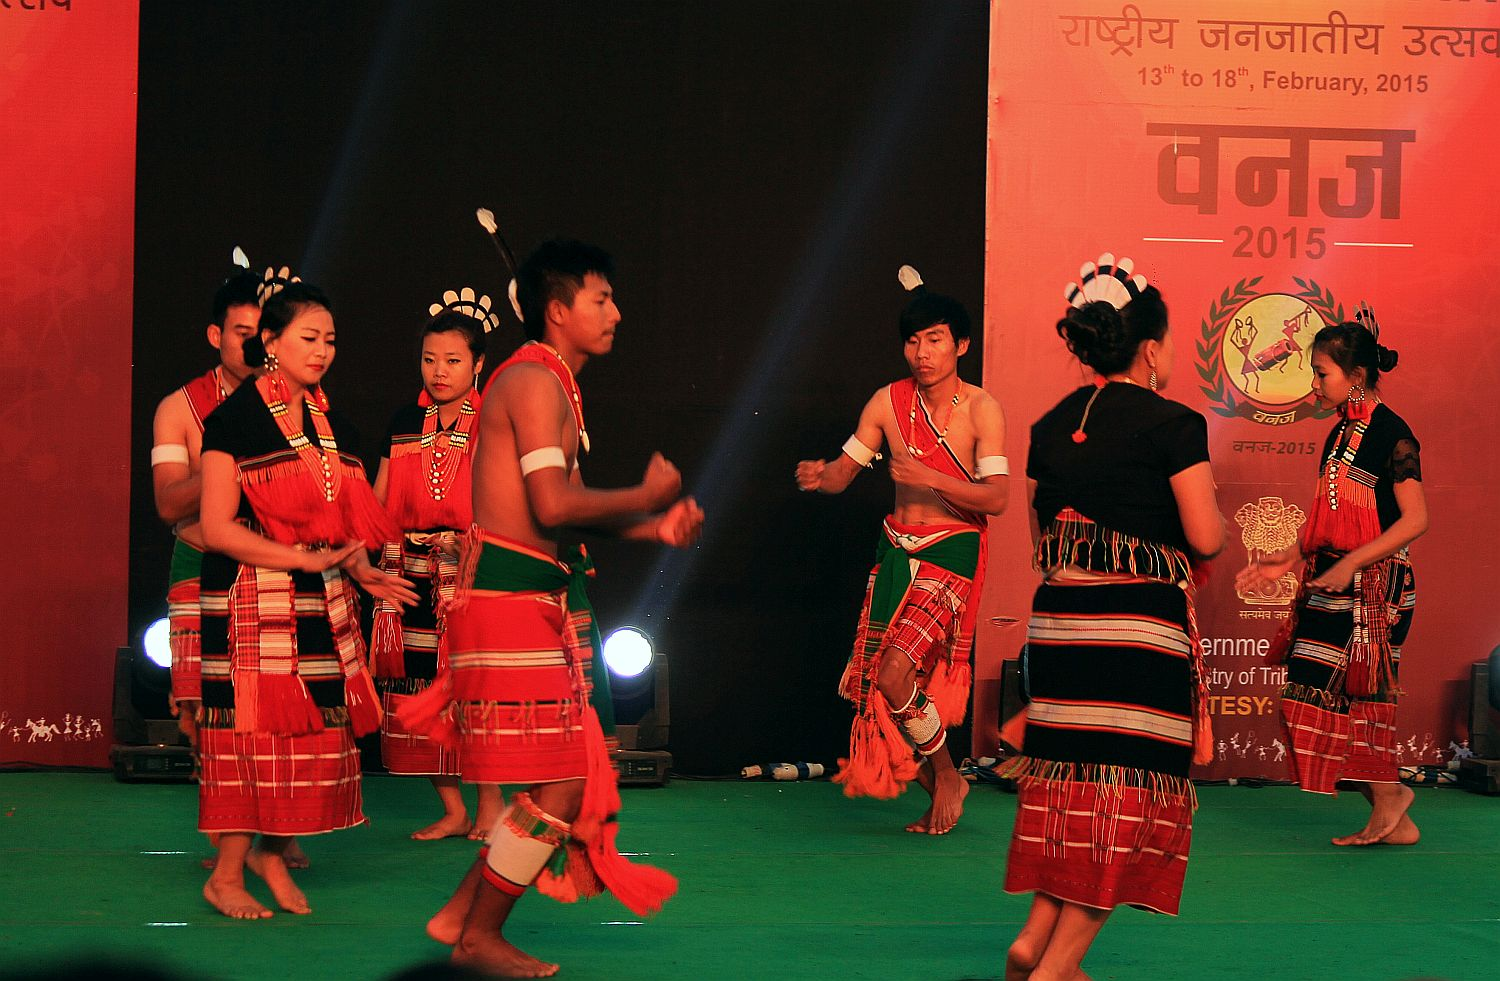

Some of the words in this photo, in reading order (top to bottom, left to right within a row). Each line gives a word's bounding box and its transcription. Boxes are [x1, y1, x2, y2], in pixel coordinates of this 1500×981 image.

[1052, 1, 1180, 64] राष्ट्रीय
[1194, 2, 1389, 59] जनजातीय
[1399, 17, 1498, 64] उत्सव
[1131, 57, 1181, 87] 13th
[1177, 67, 1204, 95] to
[1203, 59, 1253, 93] 18th
[1256, 59, 1369, 99] February
[1373, 65, 1434, 99] 2015
[1147, 117, 1421, 227] वनज
[1226, 215, 1331, 263] 2015
[1249, 402, 1299, 430] वनज
[1225, 432, 1321, 460] वनज-2015
[1196, 631, 1275, 662] ernme
[1205, 691, 1275, 721] TESY: